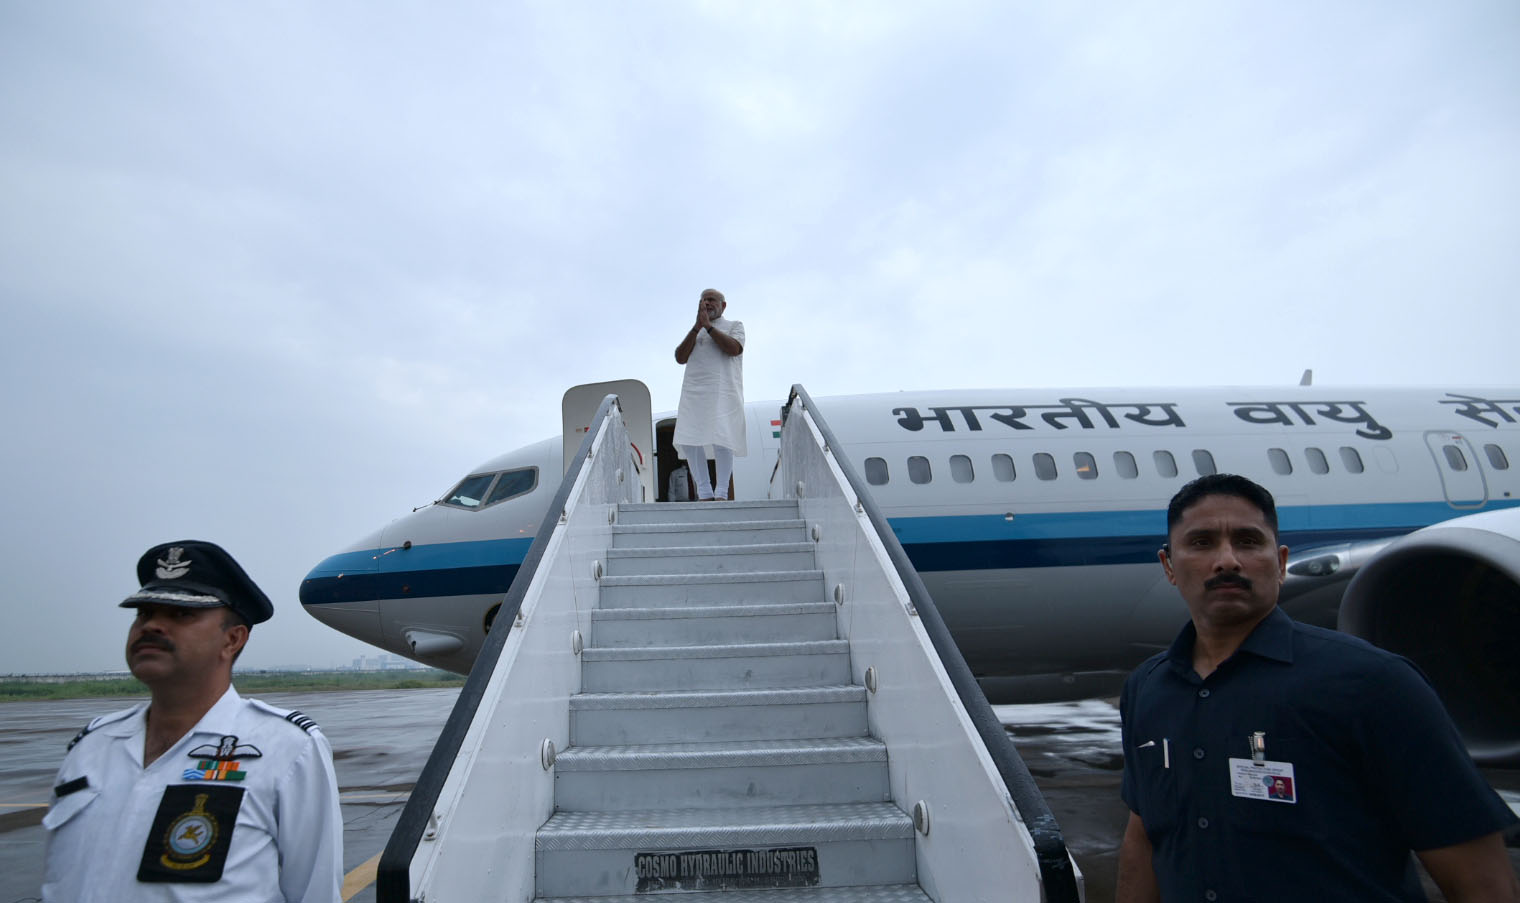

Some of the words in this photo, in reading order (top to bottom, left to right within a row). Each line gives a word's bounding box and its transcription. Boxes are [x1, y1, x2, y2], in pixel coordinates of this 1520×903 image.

[893, 393, 1188, 437] भारतीय
[1227, 397, 1397, 443] वायु
[634, 854, 678, 880] COSMO
[678, 851, 745, 879] HYDRAULIC
[743, 848, 817, 876] INDUSTRIES